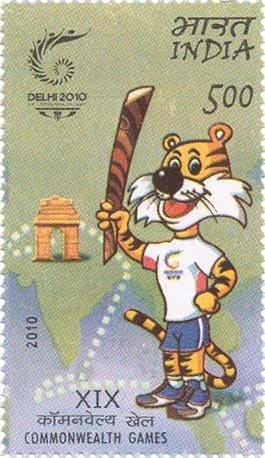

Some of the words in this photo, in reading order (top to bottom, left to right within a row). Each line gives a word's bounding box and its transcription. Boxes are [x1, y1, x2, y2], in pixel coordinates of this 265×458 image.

[168, 13, 256, 41] भारत
[166, 37, 255, 64] INDIA
[26, 90, 89, 103] DELHI2010
[200, 79, 257, 117] 500
[22, 313, 41, 350] 2010
[69, 386, 123, 412] XIX
[34, 406, 121, 429] कॉमनवेल्थ
[122, 406, 159, 429] खेल
[23, 429, 125, 447] COMMONWEALTH
[127, 430, 169, 444] GAMES